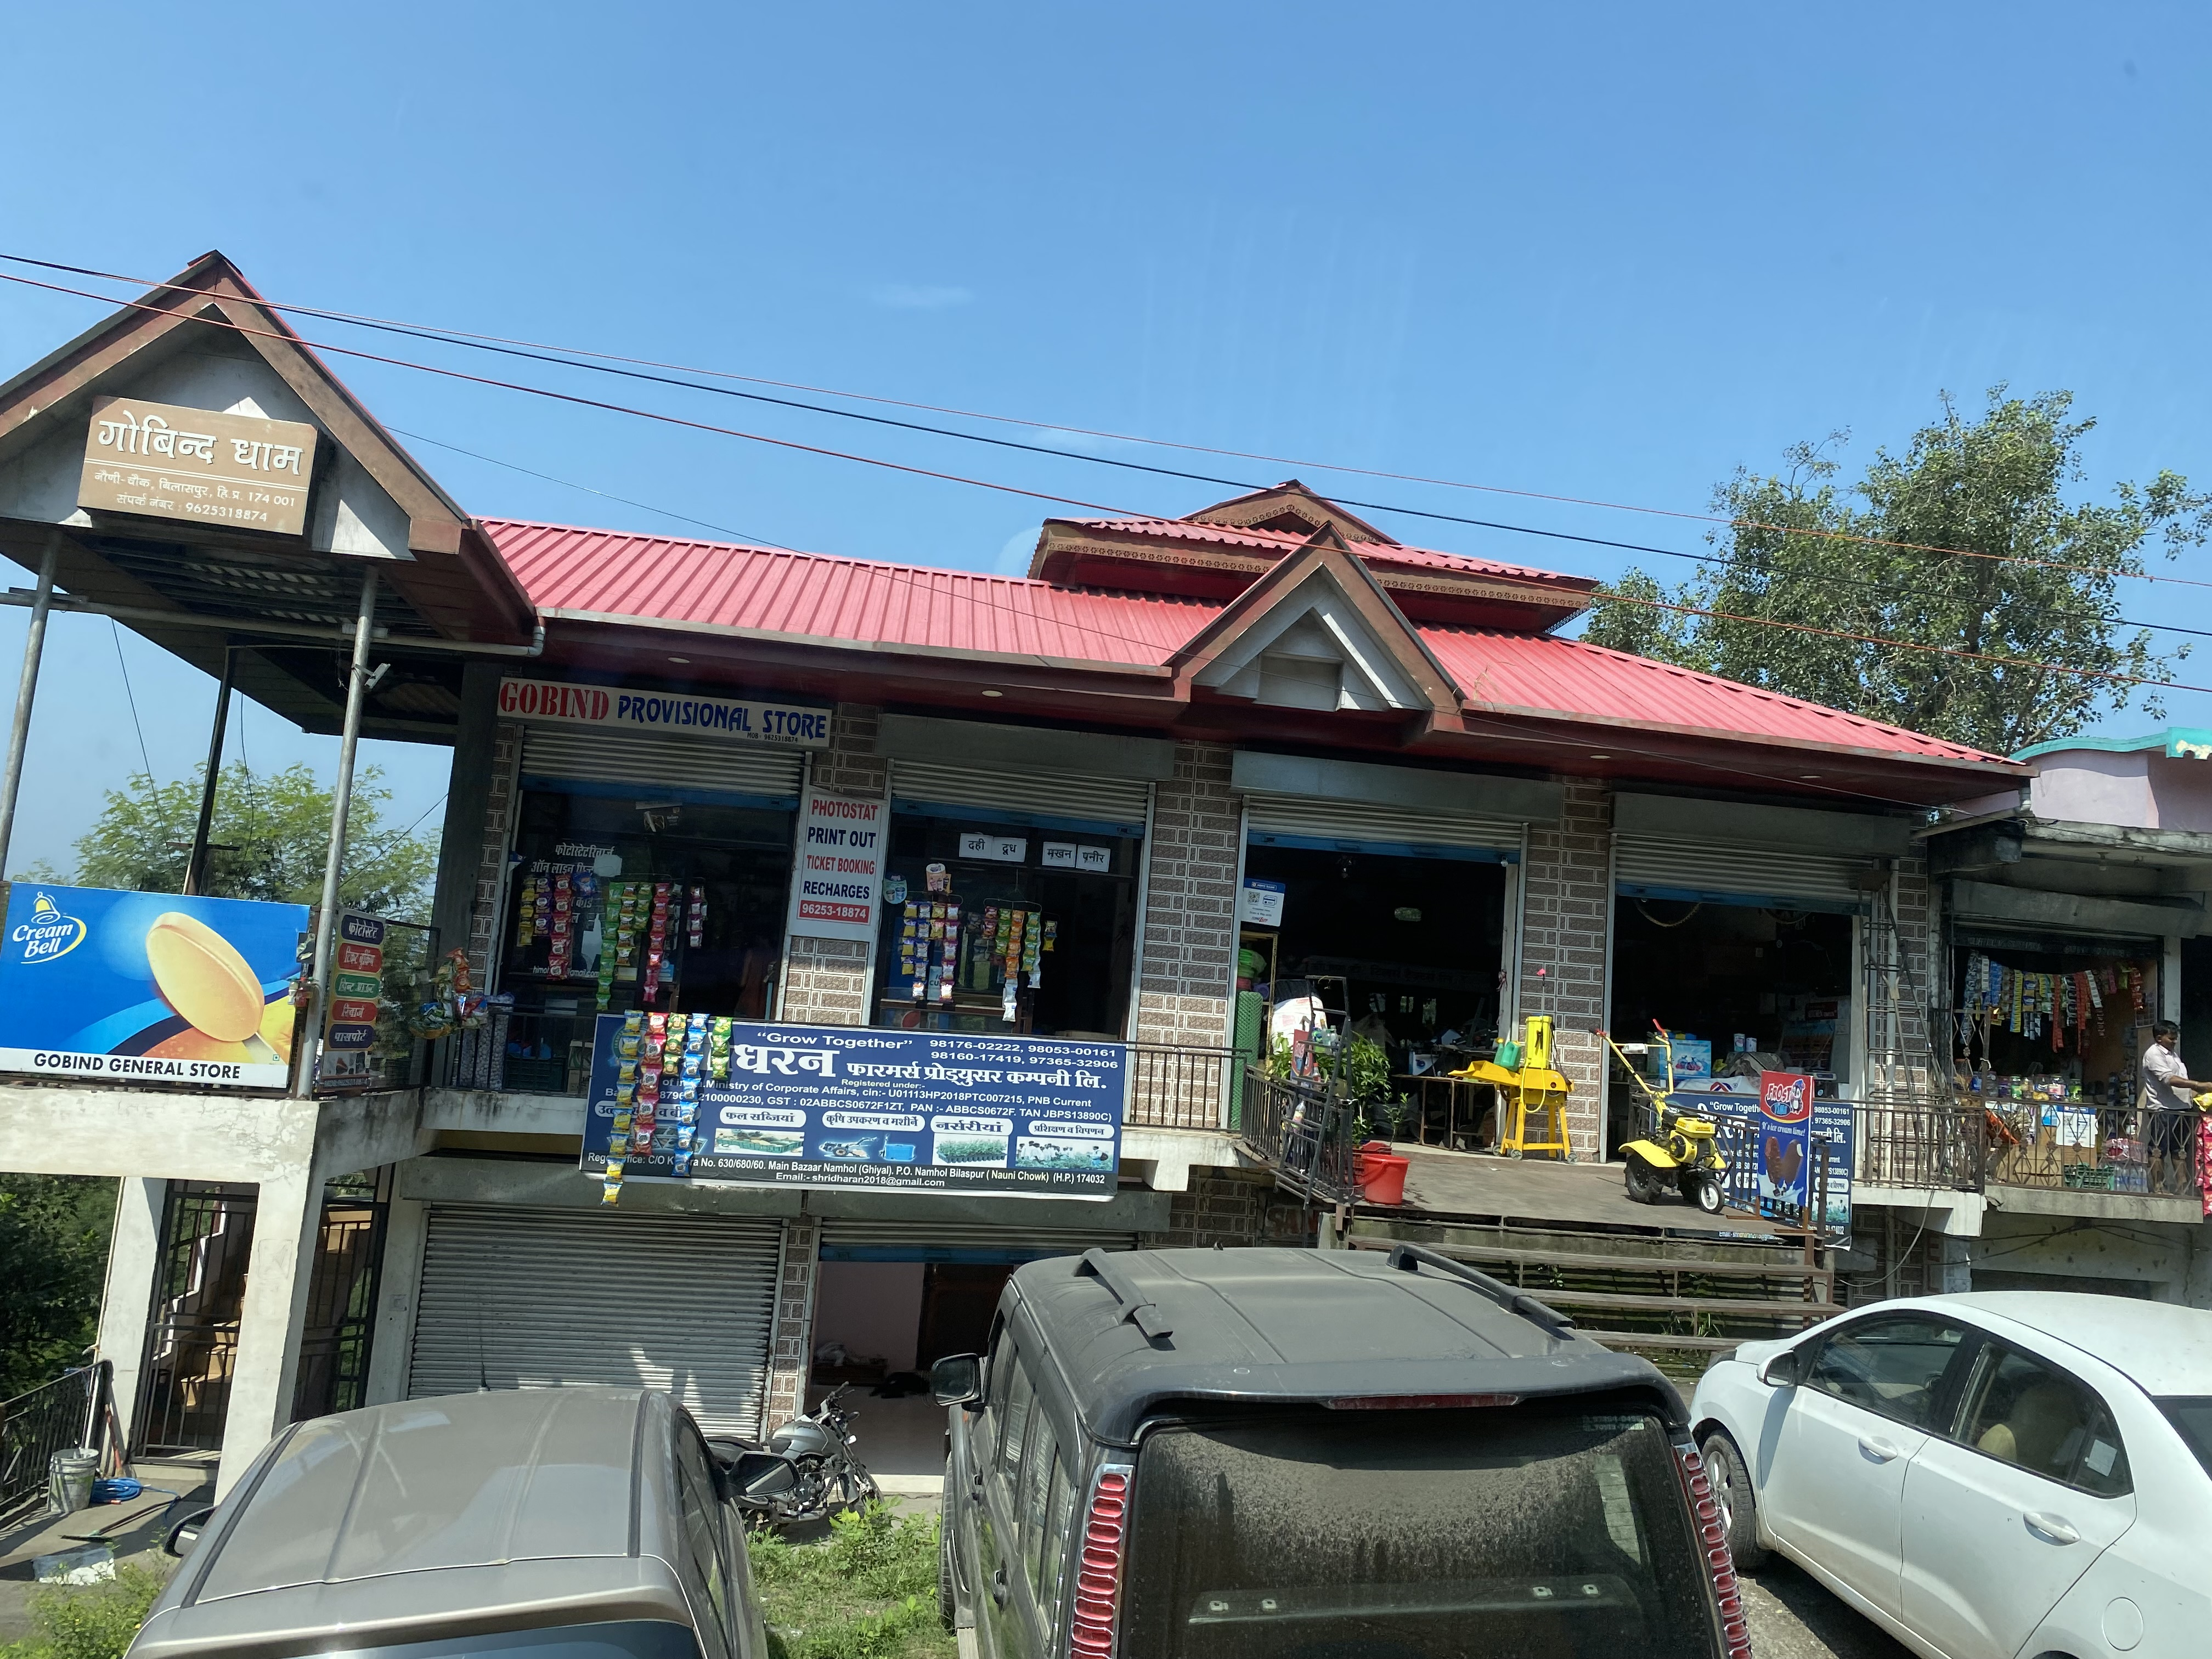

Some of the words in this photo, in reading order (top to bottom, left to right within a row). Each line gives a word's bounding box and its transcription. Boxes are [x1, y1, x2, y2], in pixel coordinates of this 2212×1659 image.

[95, 407, 224, 467] गोबिन्द
[228, 433, 303, 478] धाम
[92, 466, 154, 490] नौणी-चौक
[115, 489, 151, 507] संपर्क
[145, 493, 176, 512] नंबर
[155, 473, 211, 500] बिलासपुर
[183, 500, 270, 526] 9625318874
[213, 480, 246, 504] हि.प्र.
[247, 488, 298, 509] 174001
[490, 678, 615, 726] GOBIND
[615, 692, 754, 735] PROVISIONAL
[756, 706, 828, 743] STORE
[808, 794, 881, 823] PHOTOSTAT
[527, 854, 552, 877] ऑन
[549, 858, 577, 877] लाइन
[552, 838, 590, 861] फोटोस्टेट
[585, 840, 619, 863] रिचा
[801, 852, 838, 873] TICKET
[805, 824, 848, 847] PRINT
[837, 855, 877, 877] BOOKING
[847, 828, 878, 850] OUT
[966, 833, 989, 853] दही
[996, 838, 1020, 860] दूध
[1046, 844, 1074, 862] मखन
[1081, 844, 1108, 866] पनीर
[802, 877, 872, 902] RECHARGES
[798, 898, 867, 922] 96253-18874
[10, 920, 75, 946] Cream
[345, 914, 382, 941] फोटोस्टेट
[24, 935, 64, 963] Bell
[337, 942, 361, 969] टिकट
[356, 944, 379, 973] बुकिंग
[333, 973, 356, 996] प्रिन्ट
[347, 980, 378, 995] आउट
[337, 999, 367, 1020] रिचार्ज
[31, 1049, 106, 1072] GOBIND
[109, 1053, 188, 1077] GENERAL
[187, 1060, 243, 1083] STORE
[330, 1028, 370, 1045] पासपोर्ट
[703, 1076, 752, 1094] Ministry
[724, 1108, 749, 1124] फल
[745, 1079, 766, 1094] of
[749, 1106, 798, 1124] सब्जियां
[732, 1037, 842, 1080] धरन
[763, 1026, 821, 1047] Grow
[763, 1079, 821, 1097] Corporate
[824, 1107, 848, 1128] कृषि
[816, 1084, 859, 1099] Affairs,
[845, 1112, 882, 1126] उपकरण
[822, 1033, 907, 1053] Together
[840, 1076, 893, 1091] Registered
[861, 1085, 885, 1100] cin:-
[845, 1056, 923, 1081] फारमर्स
[878, 1115, 893, 1128] व
[885, 1114, 920, 1128] मशीनें
[893, 1081, 927, 1091] under:-
[886, 1086, 1024, 1107] U01113HP2018PTC007215,
[921, 1058, 1003, 1091] प्रोड्युसर
[934, 1114, 1008, 1135] नर्सरीयां
[928, 1035, 1028, 1053] 98176-02222,
[1003, 1065, 1074, 1090] कम्पनी
[1025, 1094, 1052, 1109] PNB
[1031, 1118, 1068, 1136] प्रशिक्षण
[1064, 1124, 1076, 1137] व
[1025, 1042, 1118, 1060] 98053-00161
[1051, 1094, 1094, 1110] Current
[1071, 1120, 1107, 1137] विपणन
[1072, 1064, 1109, 1091] लि.
[1709, 1097, 1735, 1113] Grow
[1733, 1100, 1764, 1118] Togeth
[715, 1156, 768, 1171] 630/680/60
[765, 1159, 791, 1173] Main
[773, 1169, 808, 1183] Email:
[789, 1159, 826, 1173] Bazaar
[821, 1161, 859, 1176] Namhol
[861, 1163, 891, 1178] Ghiyal)
[809, 1171, 947, 1192] shridharan2016@gmail.com
[894, 1164, 913, 1178] P.O.
[911, 1163, 949, 1178] Namhol
[949, 1166, 988, 1184] Bilaspur
[990, 1168, 1019, 1183] Nauni
[1017, 1168, 1049, 1186] Chowk)
[1052, 1170, 1075, 1187] (H.P.)
[1074, 1169, 1106, 1188] 174032